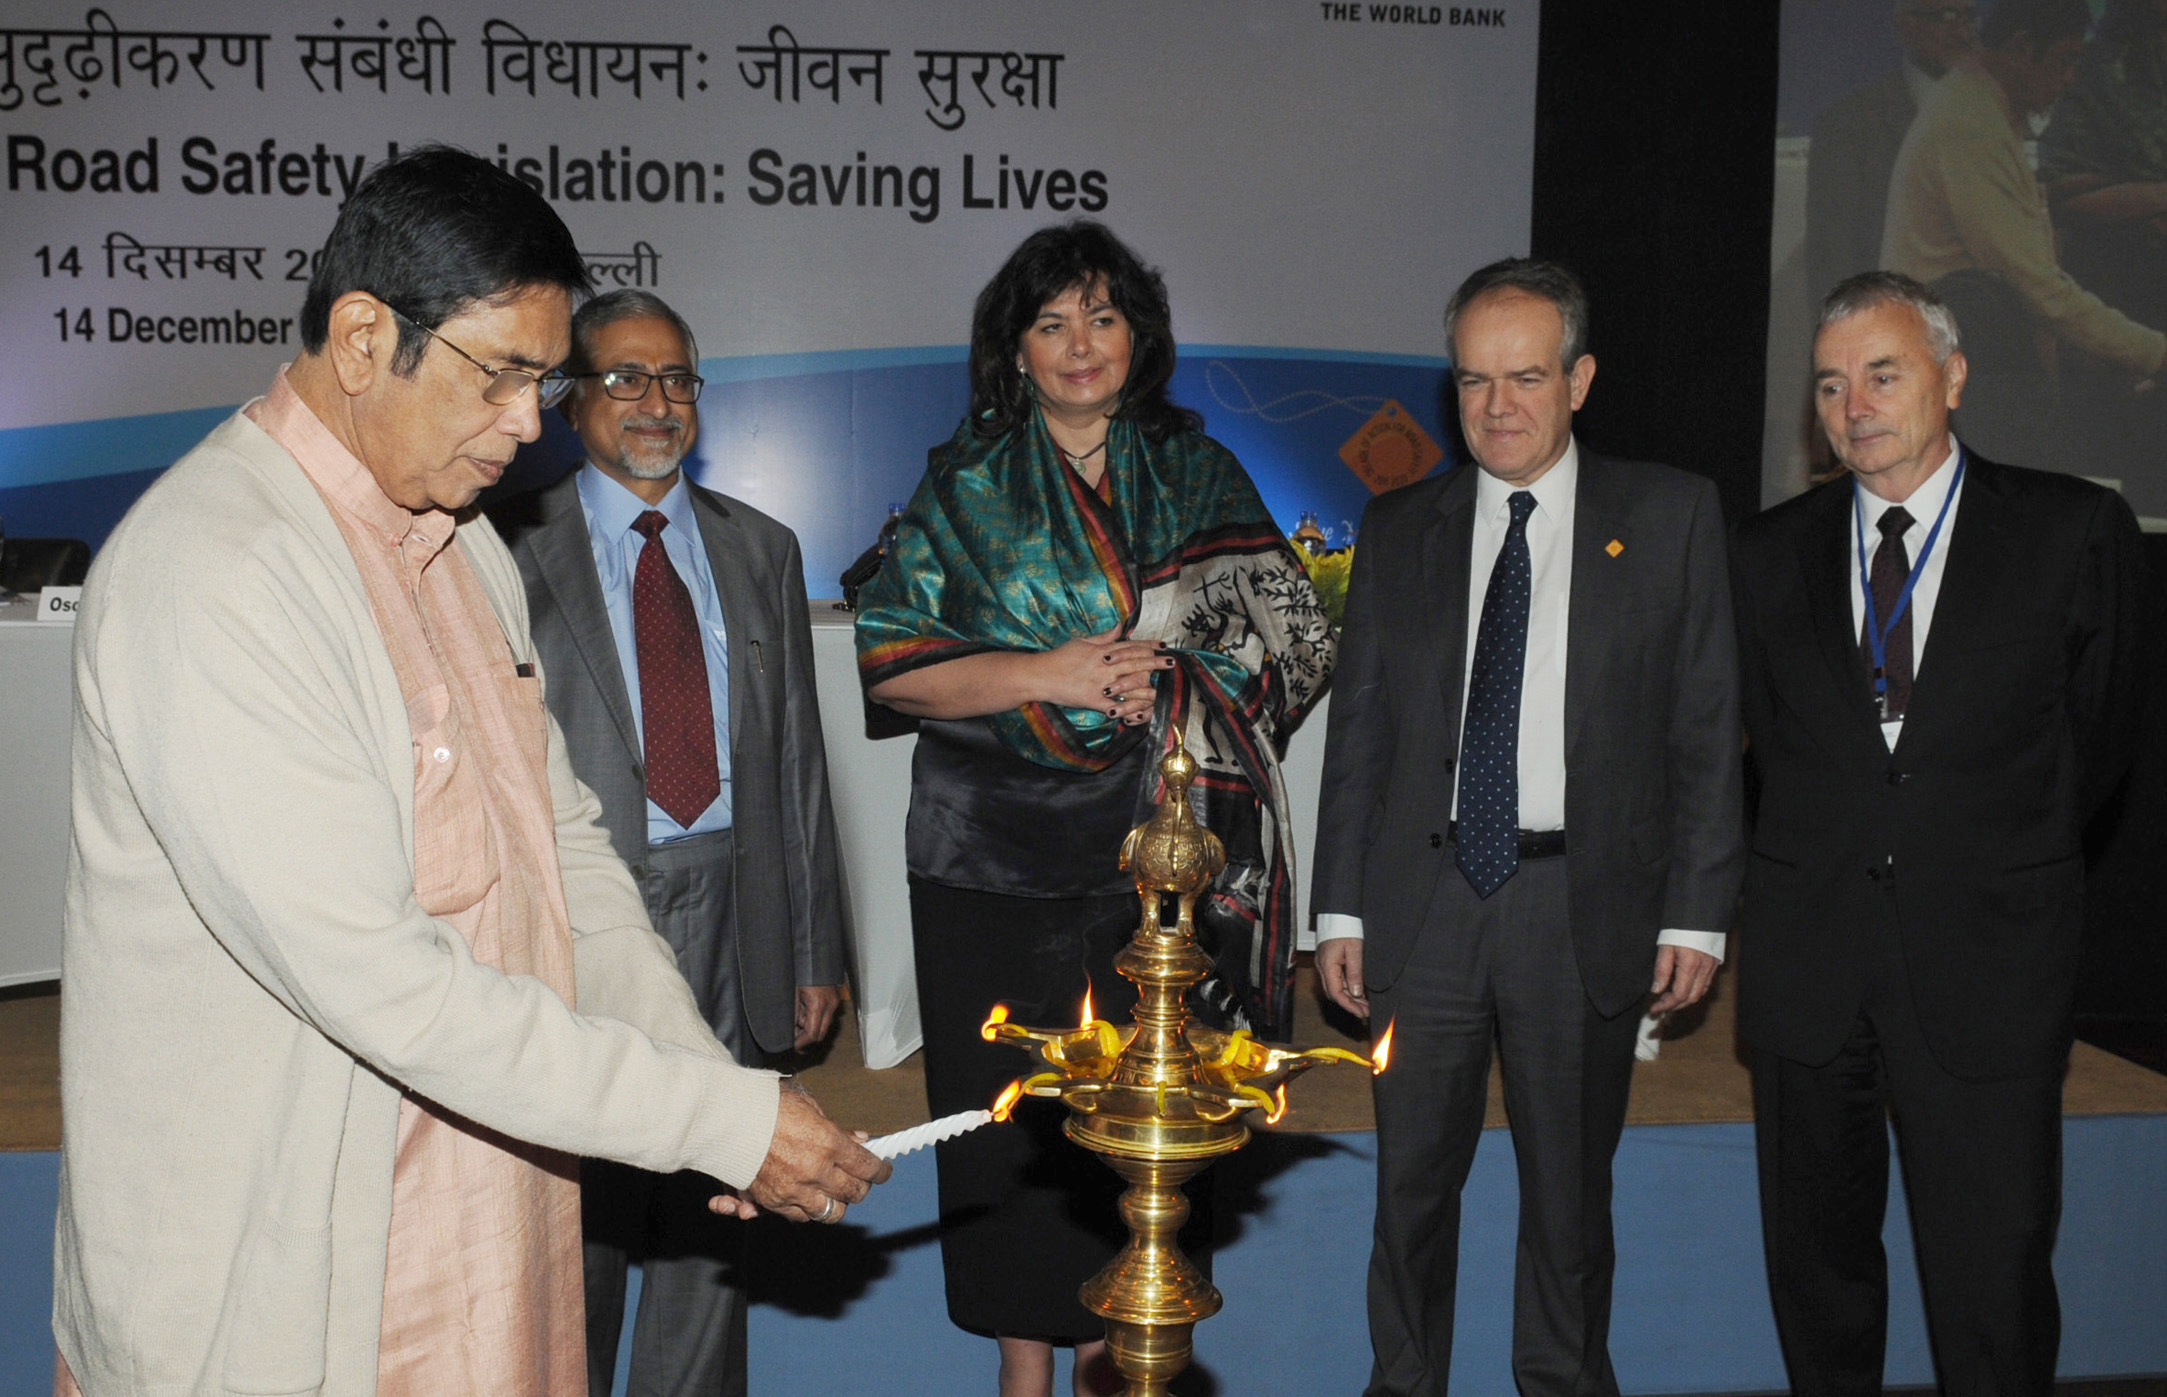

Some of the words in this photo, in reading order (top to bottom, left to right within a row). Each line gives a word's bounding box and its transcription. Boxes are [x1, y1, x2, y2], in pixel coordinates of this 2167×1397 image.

[1, 5, 275, 119] दृढ़ीकरण
[282, 9, 461, 101] संबंधी
[471, 9, 697, 103] विधायन
[728, 21, 895, 112] जीवन
[915, 43, 1068, 137] सुरक्षा
[7, 126, 164, 198] Road
[179, 129, 370, 213] Safety
[487, 137, 715, 209] lation
[743, 143, 948, 231] Saving
[956, 148, 1117, 218] Lives
[30, 241, 86, 283] 14
[103, 230, 267, 283] दिसम्बर
[572, 231, 672, 299] ल्ली
[51, 301, 99, 348] 14
[105, 300, 295, 350] December